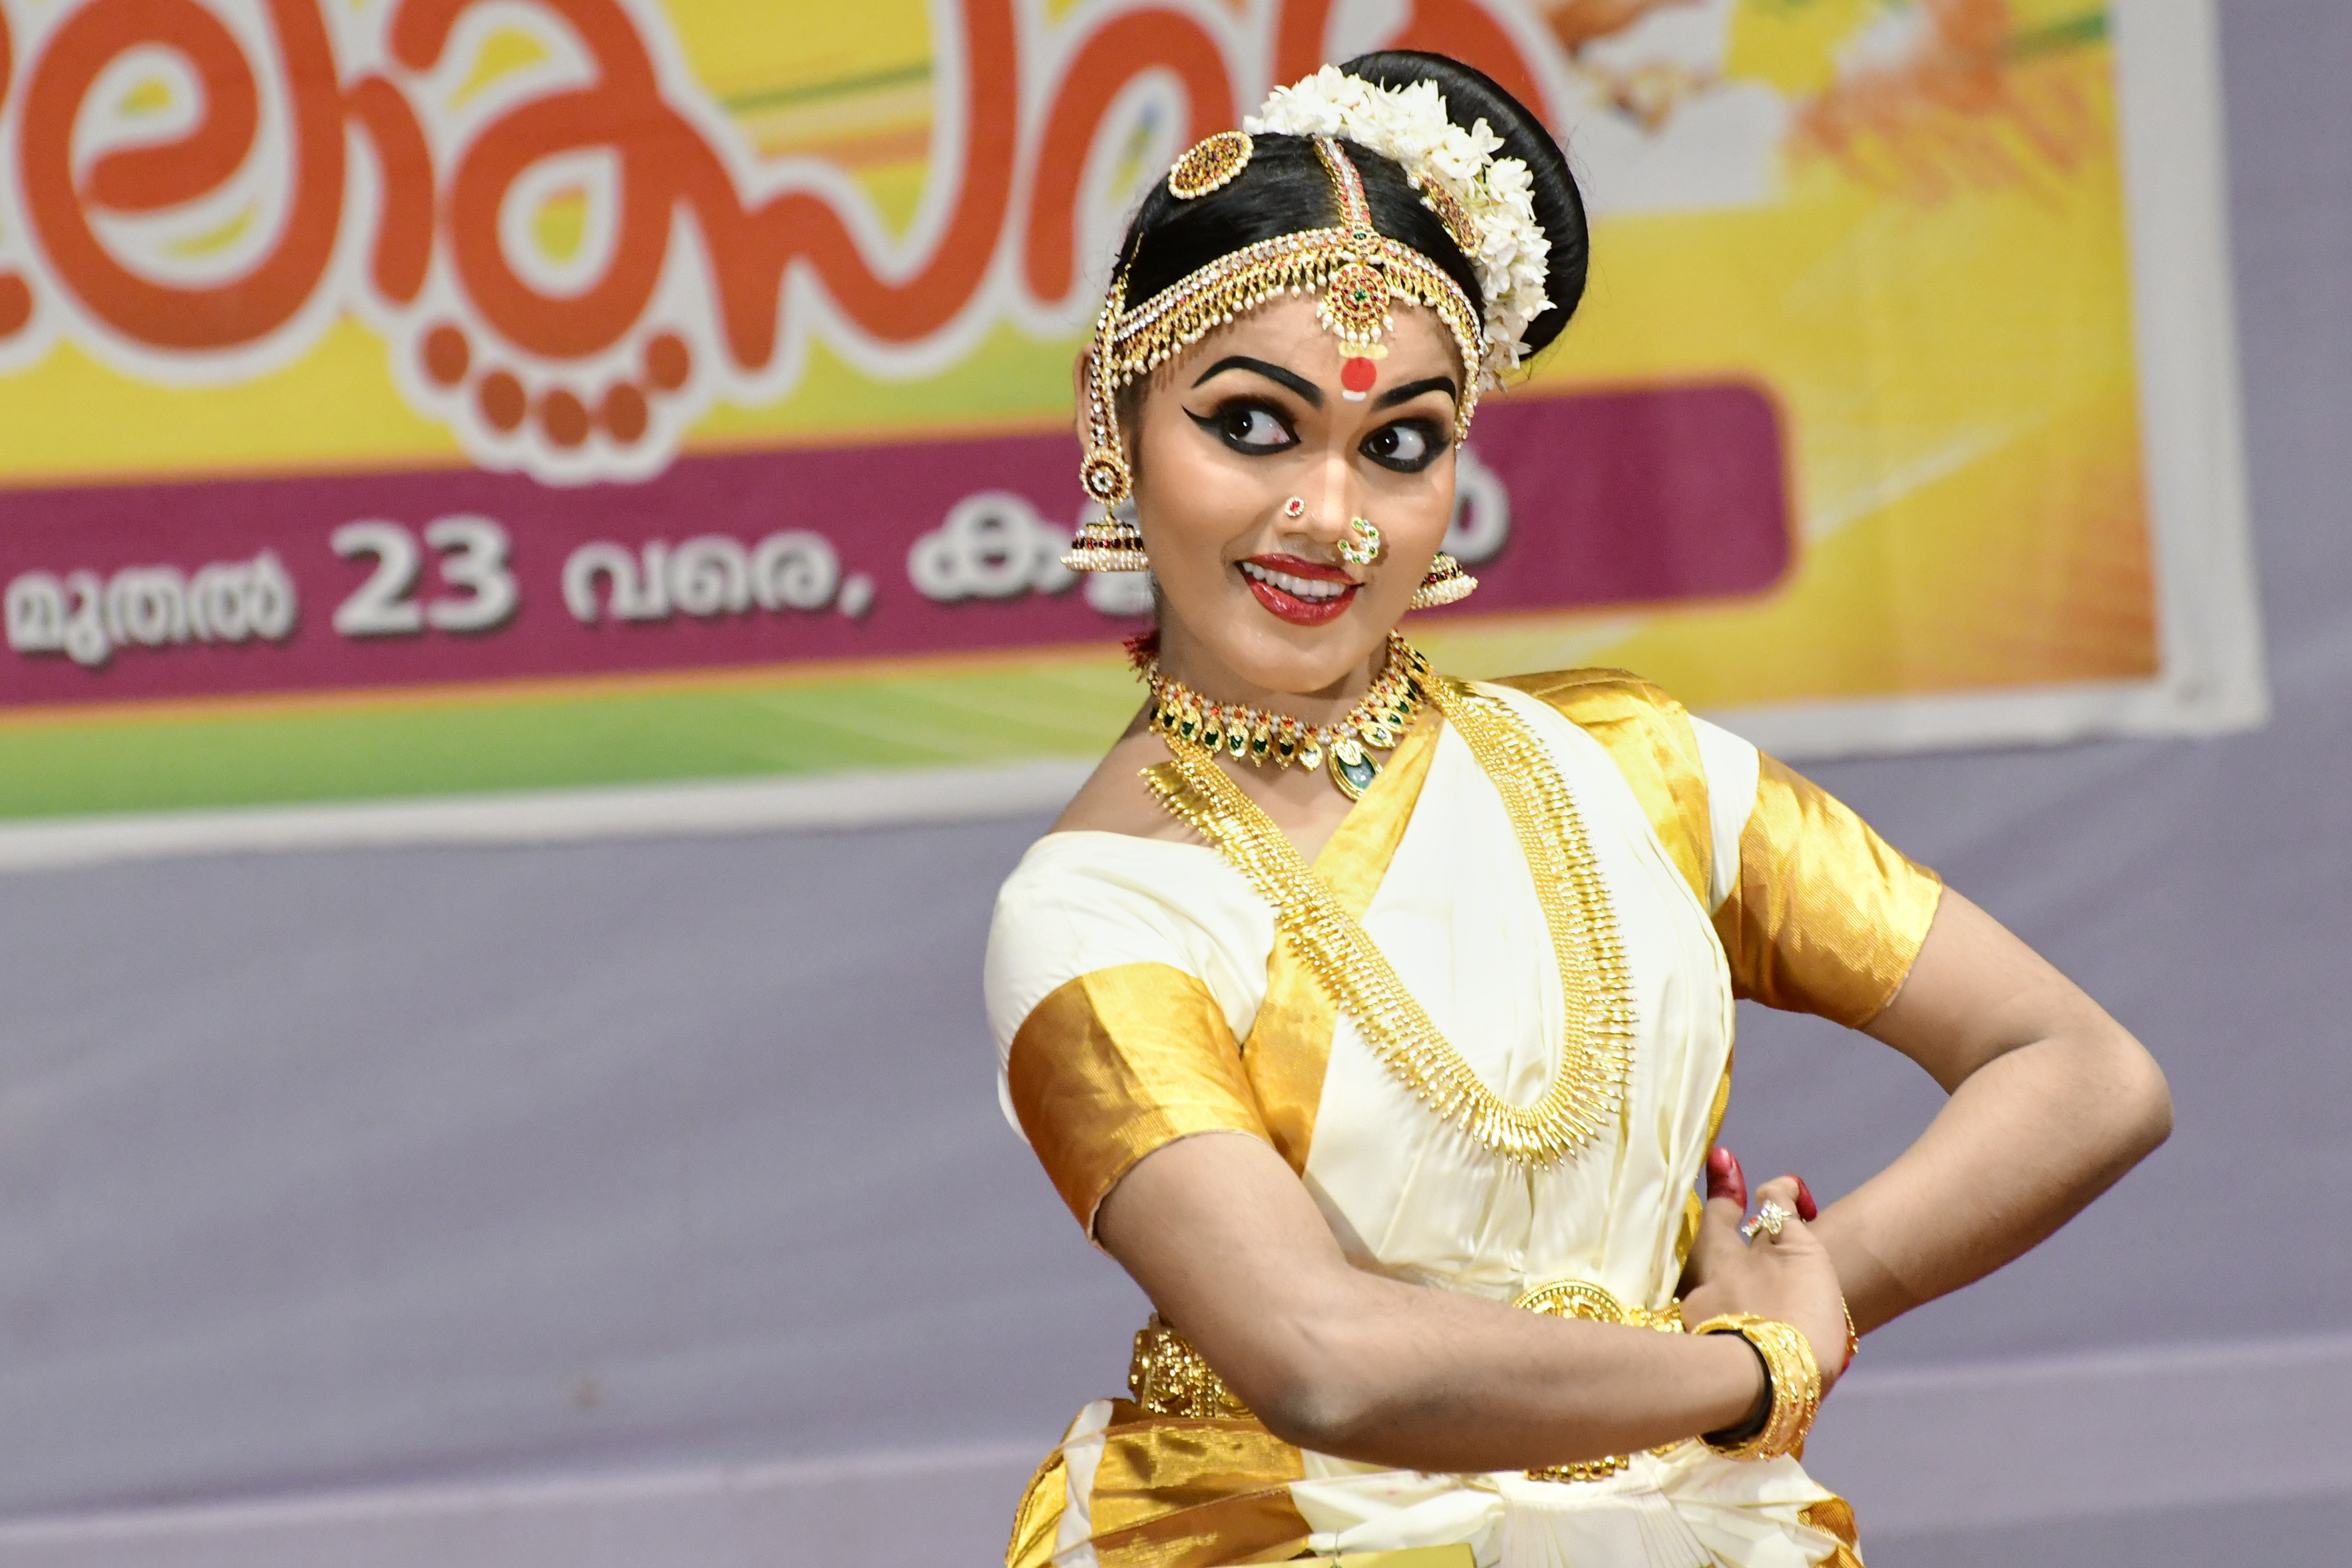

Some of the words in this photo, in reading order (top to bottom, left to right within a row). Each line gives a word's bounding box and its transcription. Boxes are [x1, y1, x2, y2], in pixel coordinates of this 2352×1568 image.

[0, 526, 309, 688] മുതൽ
[313, 496, 533, 667] 23
[544, 516, 849, 646] വരെ